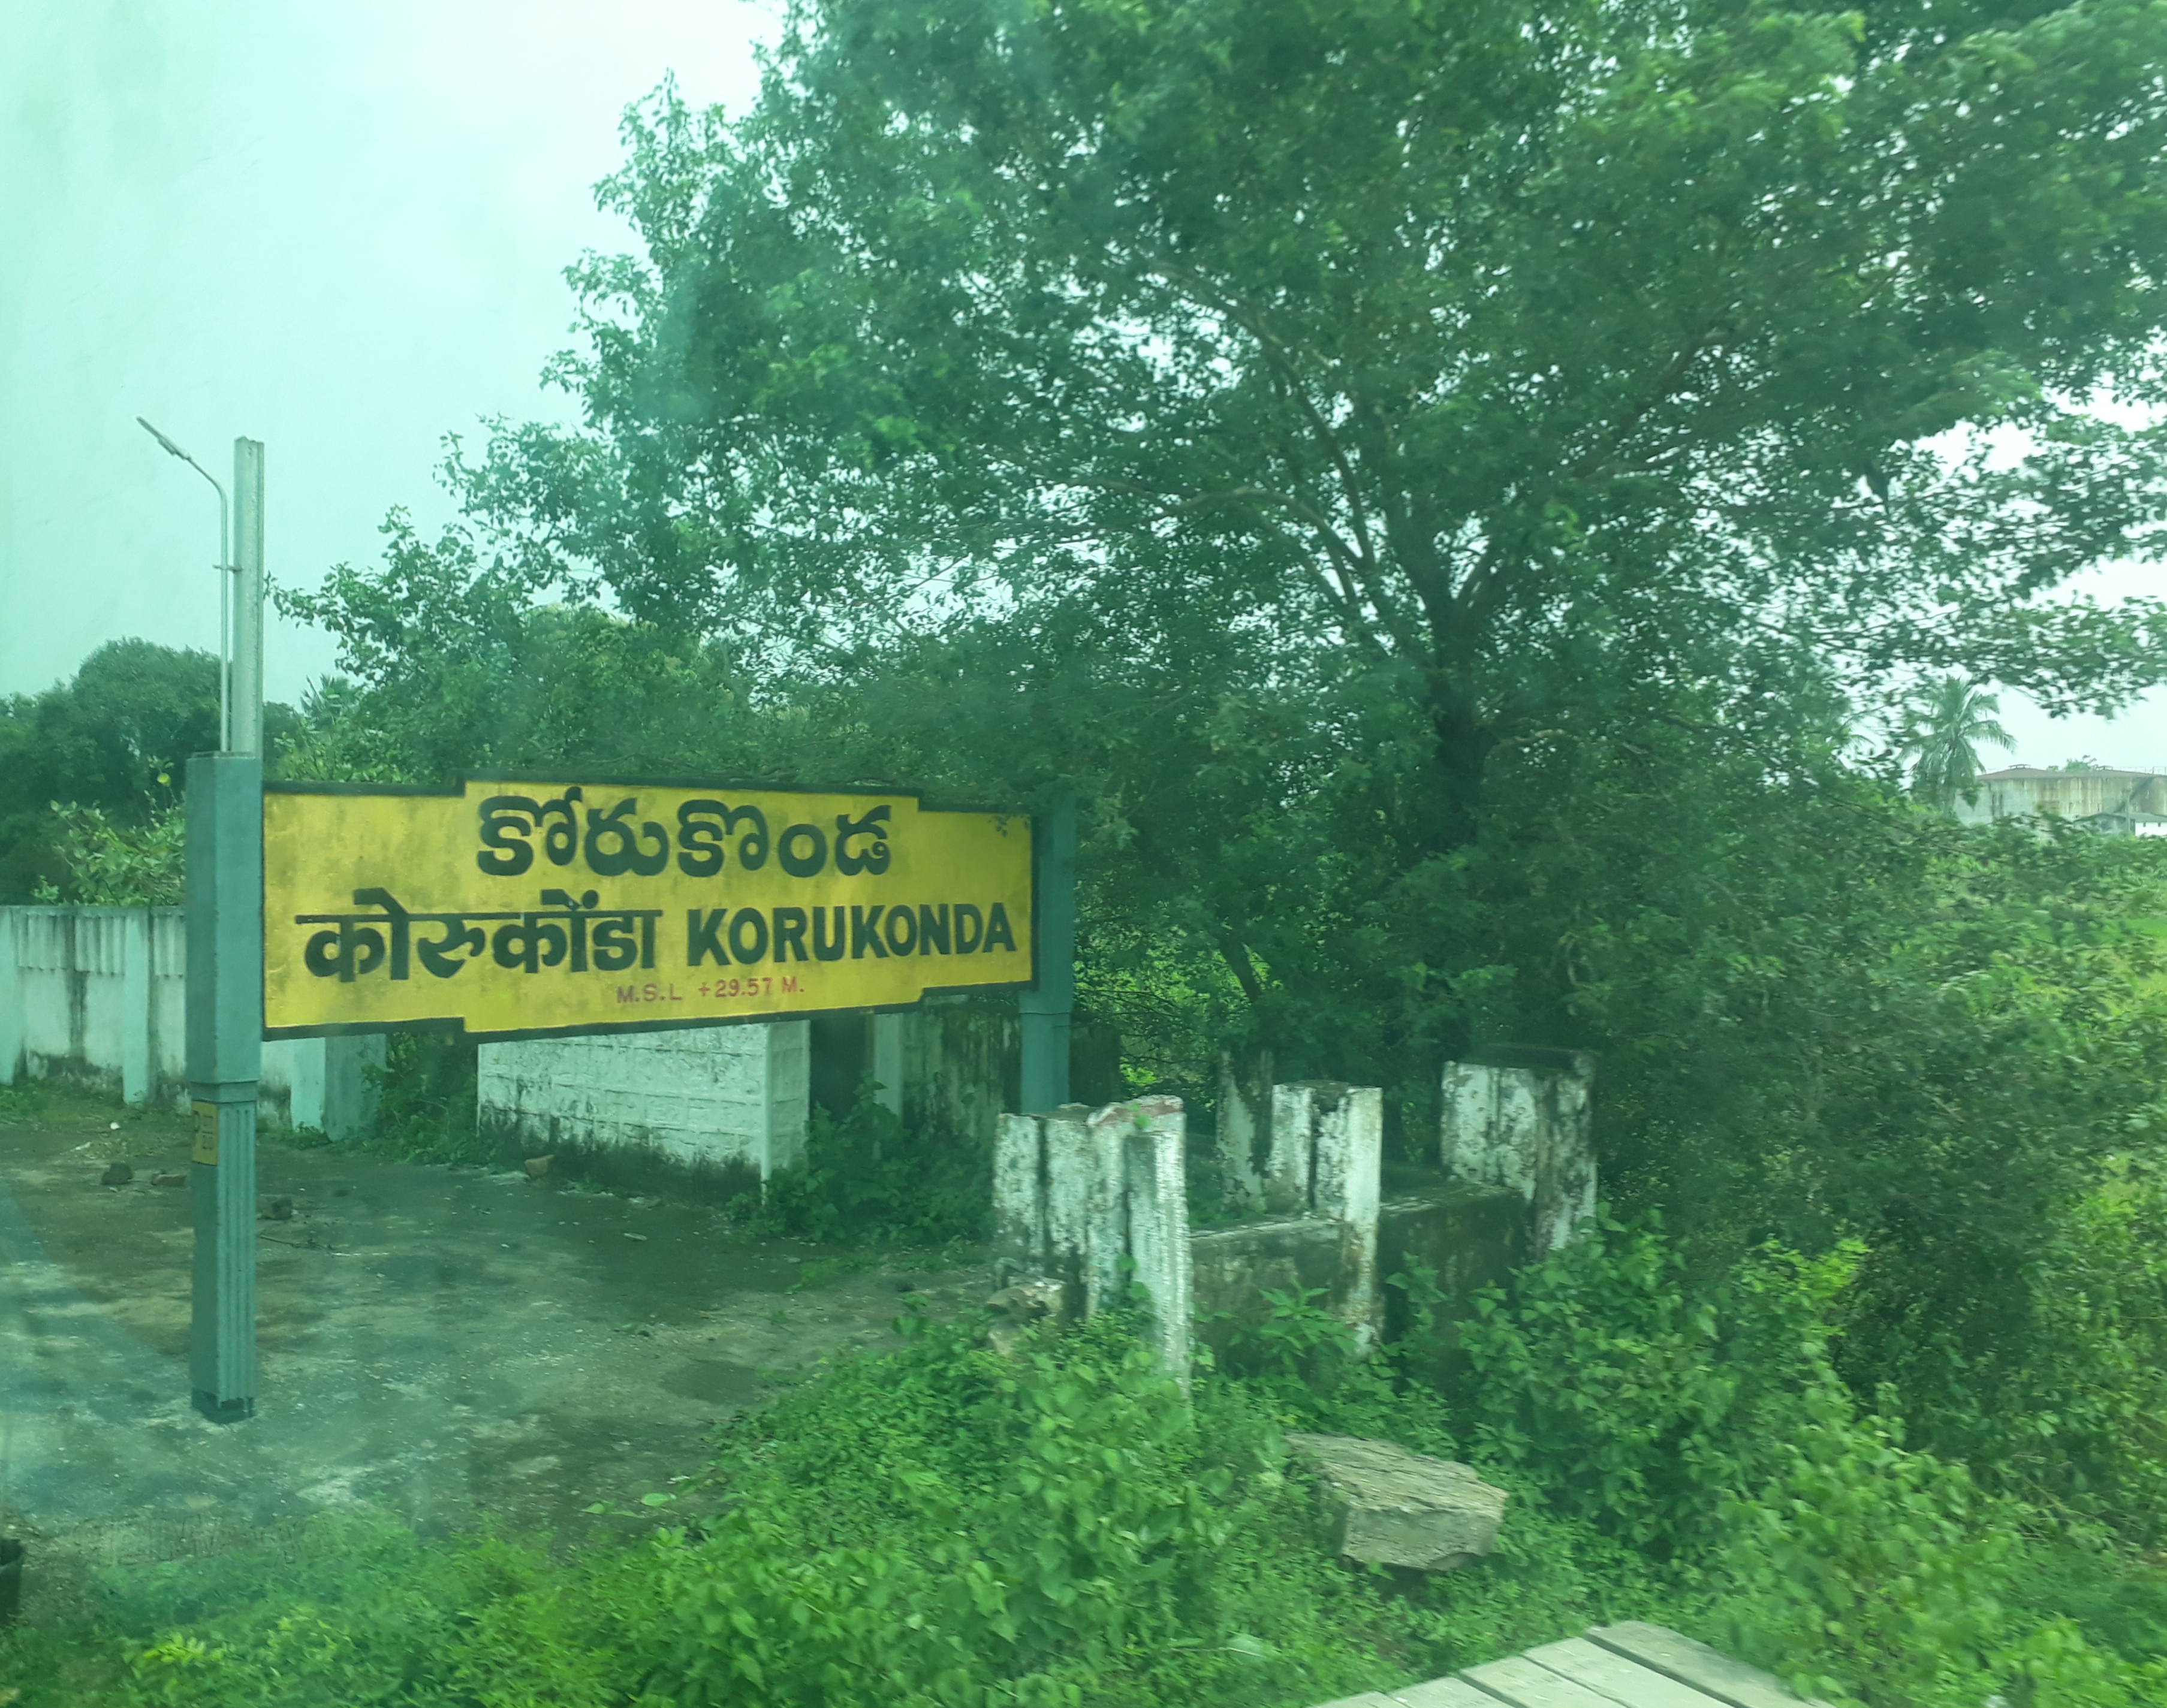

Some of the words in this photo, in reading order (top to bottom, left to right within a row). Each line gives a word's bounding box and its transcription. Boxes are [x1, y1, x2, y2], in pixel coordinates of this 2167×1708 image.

[469, 778, 897, 878] కోరుకొండ
[291, 882, 667, 986] कोरुकोंडा
[683, 899, 1023, 970] KORUKONDA
[611, 982, 689, 1006] M.S.L
[707, 970, 802, 1006] 29.57M